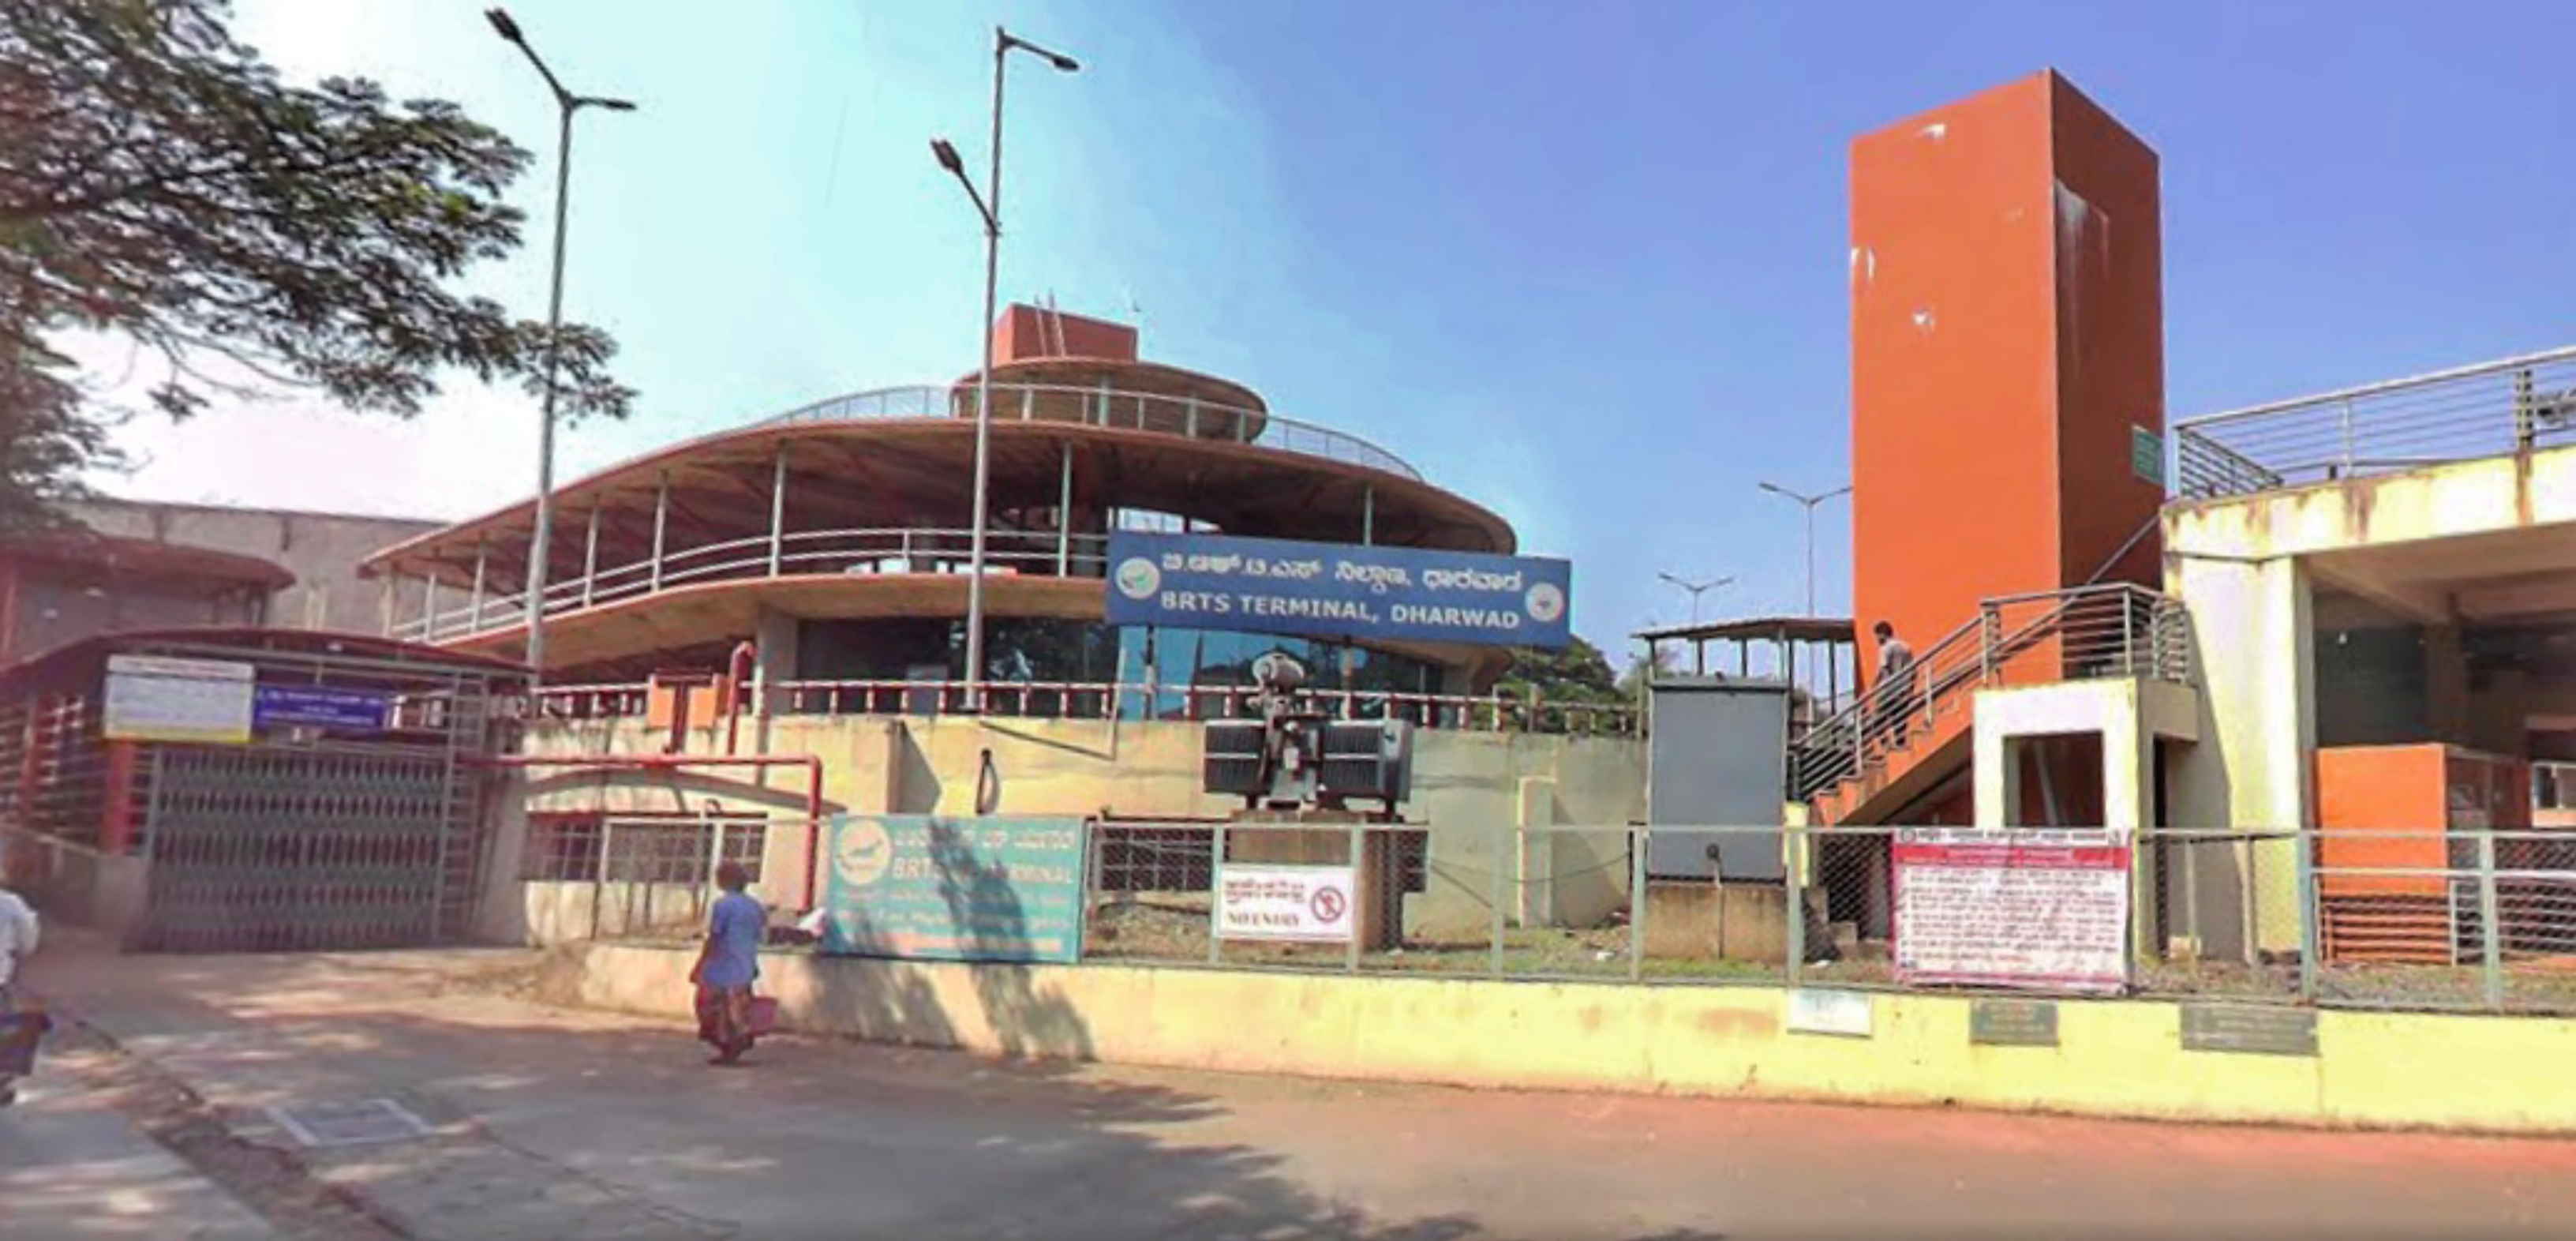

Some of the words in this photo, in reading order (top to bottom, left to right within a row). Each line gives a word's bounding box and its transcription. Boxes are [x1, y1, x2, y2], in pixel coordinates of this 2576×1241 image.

[1156, 546, 1325, 585] ಬಿ.ಆರ್.ಟಿ.ಎಸ್.
[1326, 555, 1413, 598] ನಿಲ್ದಾಣ
[1416, 561, 1525, 595] ಧಾರವಾಡ
[1156, 587, 1234, 615] BRTS
[1236, 588, 1377, 623] TERMINAL
[1387, 603, 1522, 632] DHARWAD